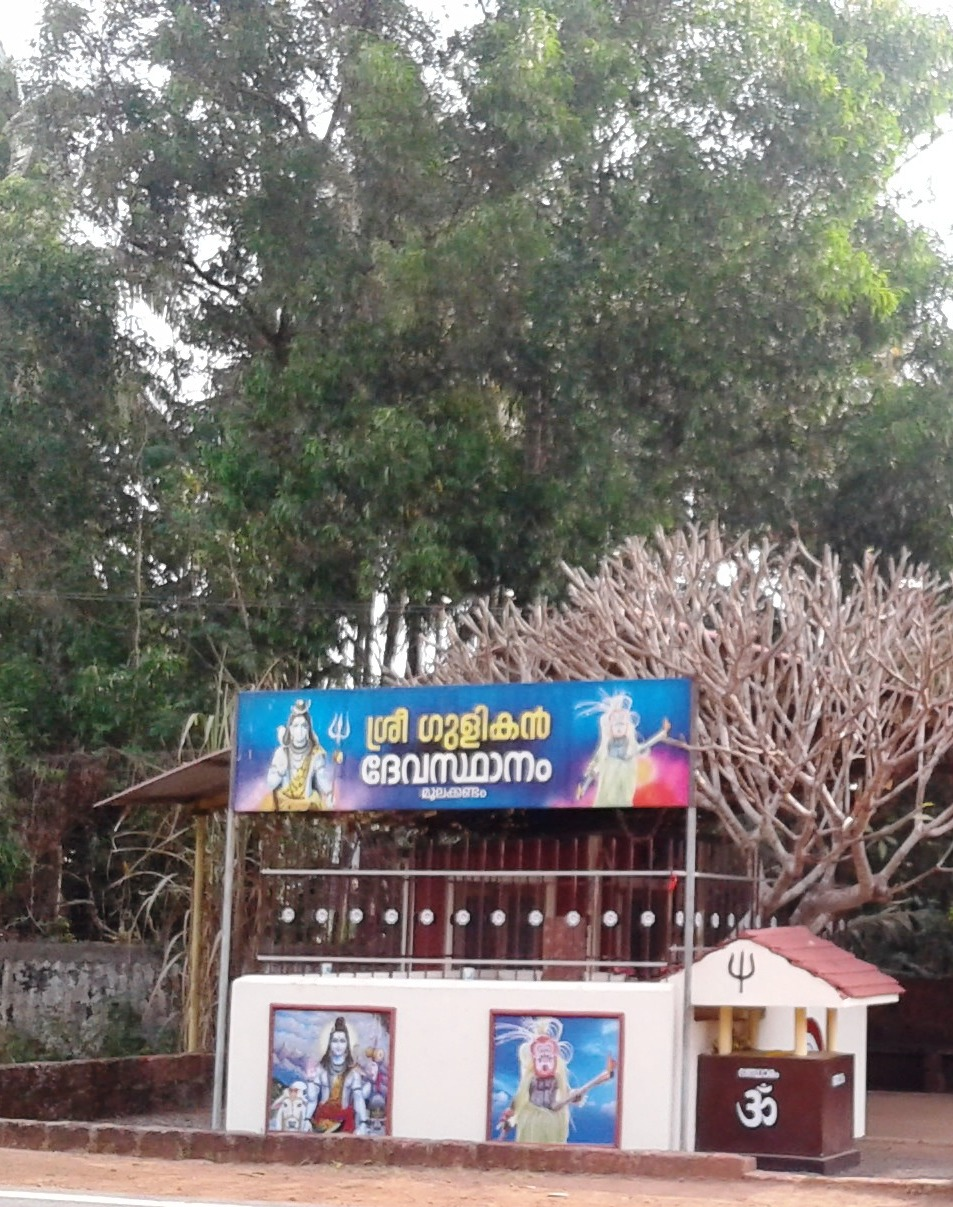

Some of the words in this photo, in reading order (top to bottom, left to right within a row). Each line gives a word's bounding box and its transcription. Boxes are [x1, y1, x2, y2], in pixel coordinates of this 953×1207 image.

[361, 701, 416, 755] ശ്രീ
[415, 695, 556, 753] ഗുളികൻ
[411, 779, 492, 805] മൂലക്കണ്ടം
[355, 745, 559, 790] ദേവസ്ഥാനം
[719, 1068, 786, 1138] ऊँ